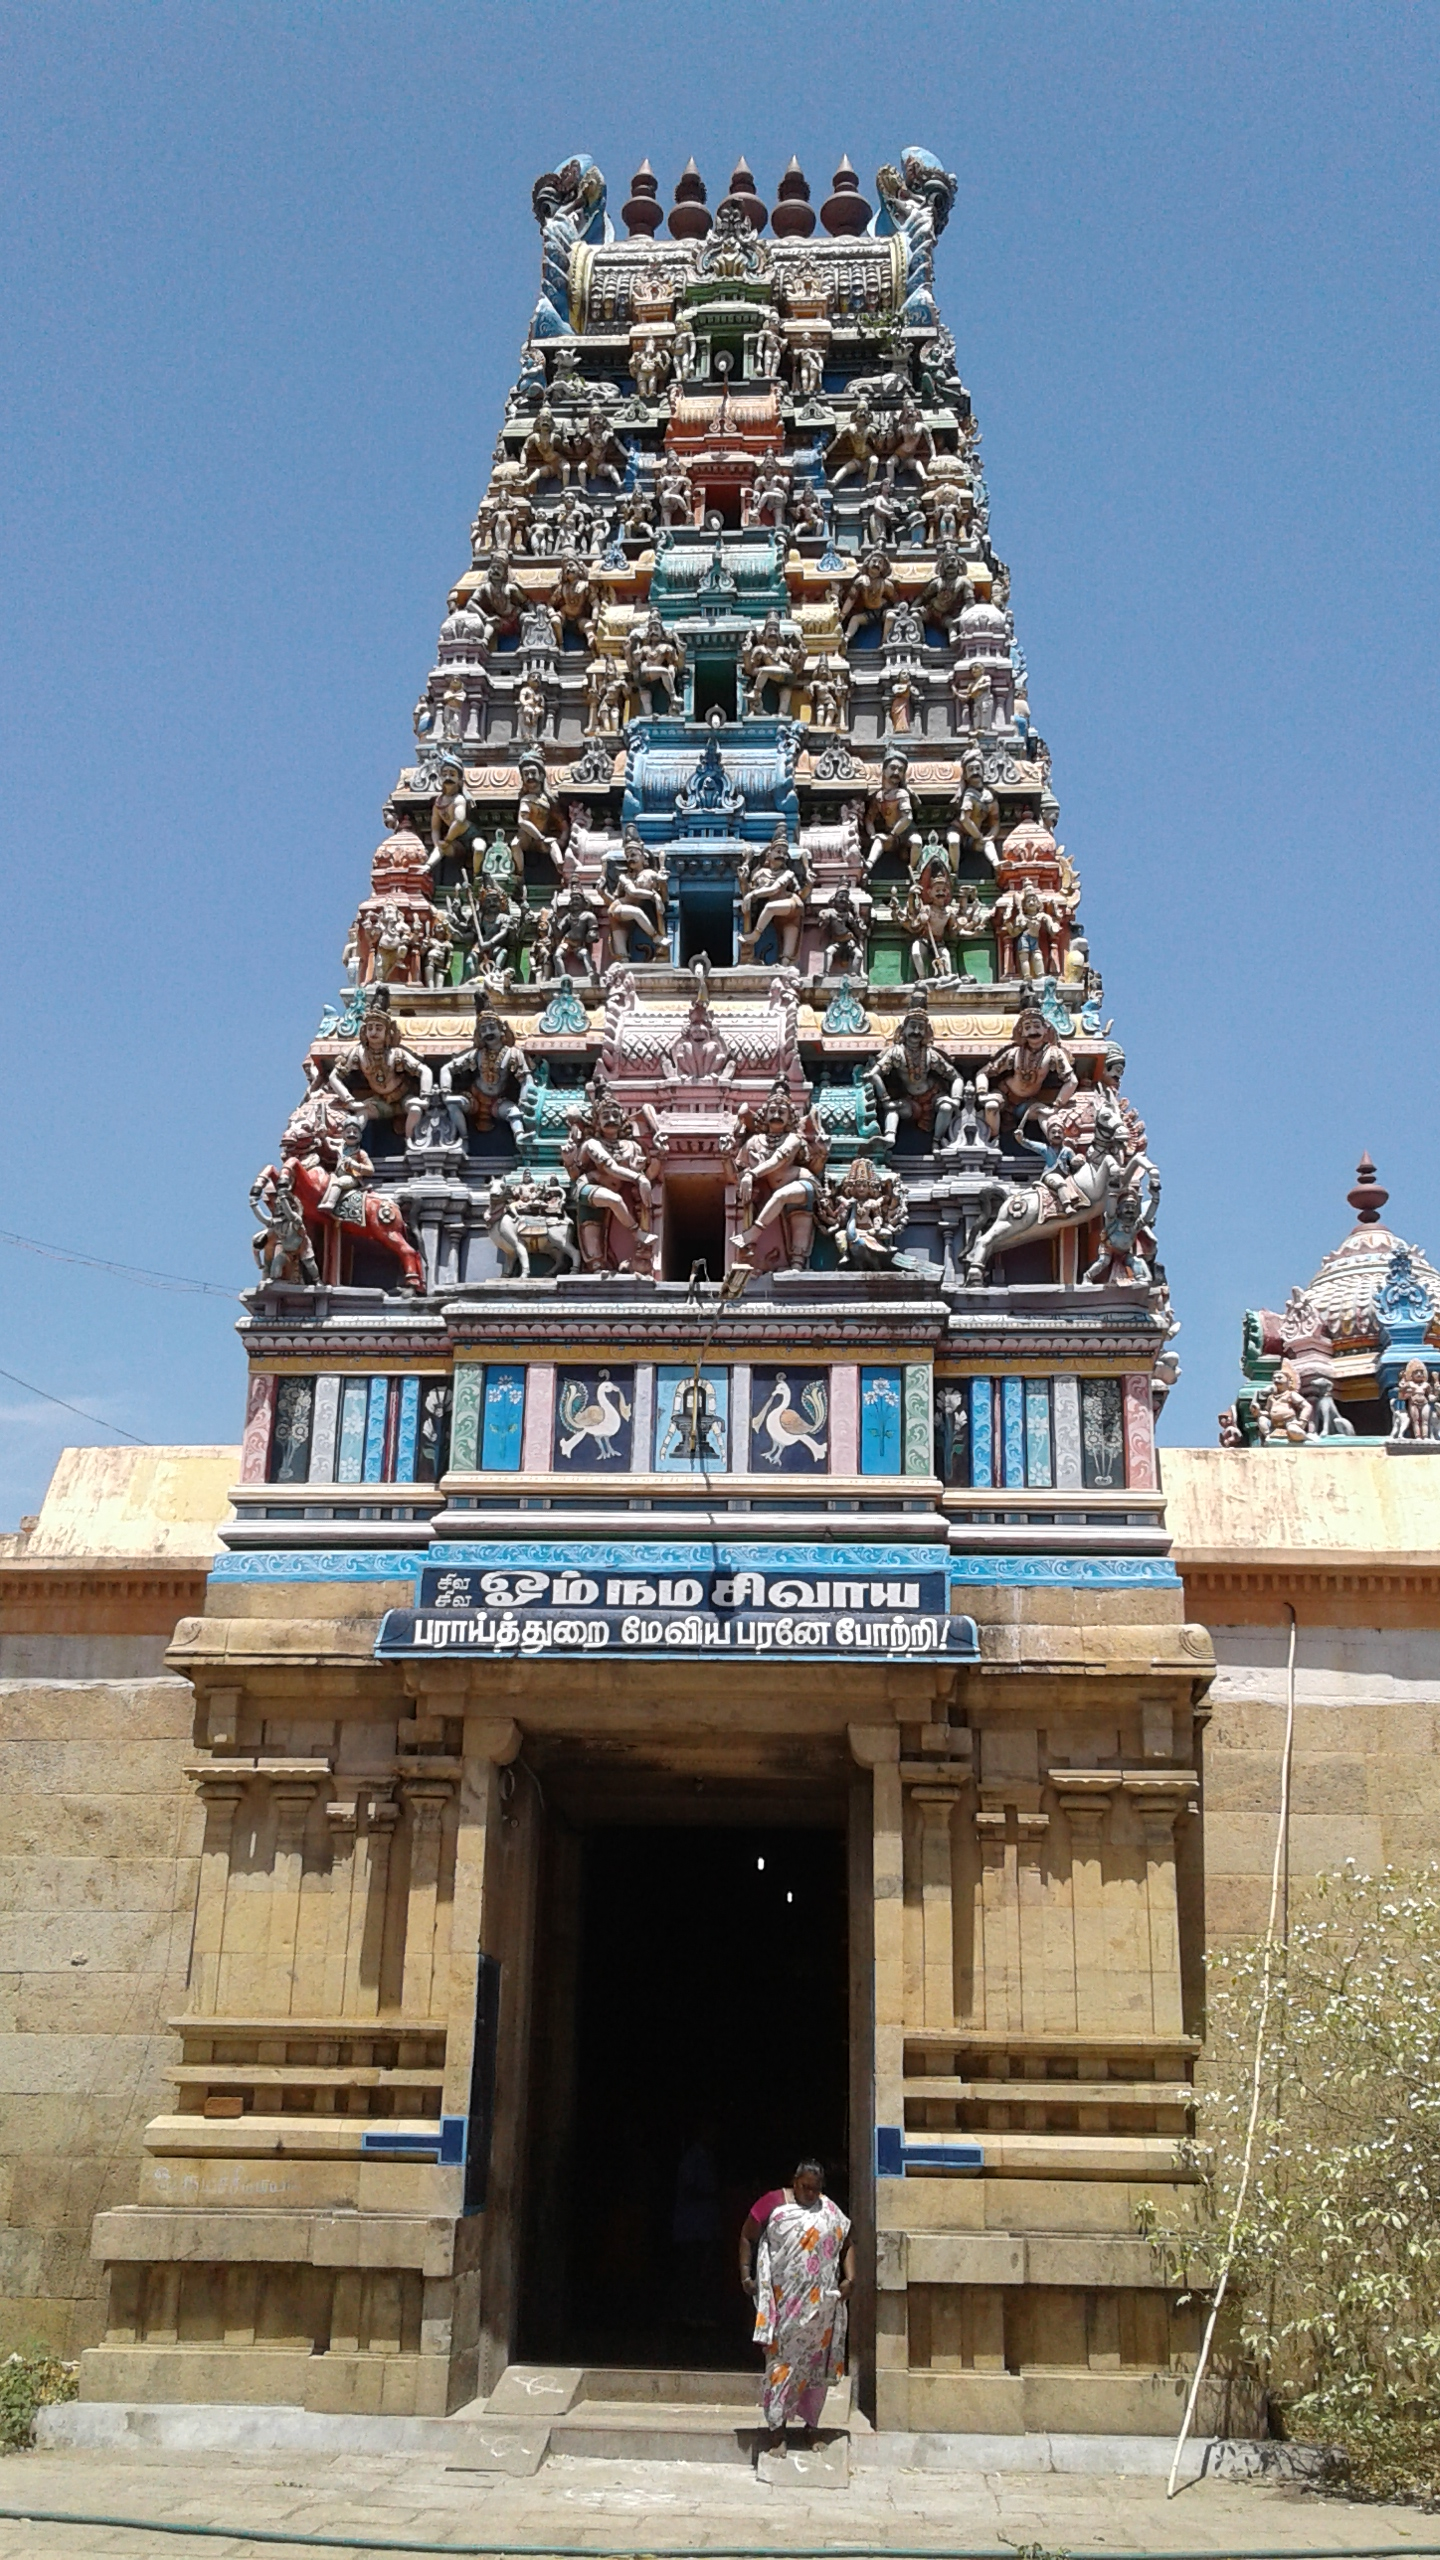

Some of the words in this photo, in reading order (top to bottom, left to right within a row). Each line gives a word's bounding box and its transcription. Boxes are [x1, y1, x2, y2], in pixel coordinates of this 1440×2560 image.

[425, 1586, 476, 1612] சீவ
[432, 1565, 476, 1599] சிவ
[475, 1563, 709, 1610] ஓம்நம
[708, 1563, 922, 1613] சிவாய
[408, 1607, 614, 1659] பராய்த்துறை
[613, 1607, 735, 1650] மேவிய
[733, 1611, 833, 1653] பரனே
[827, 1609, 955, 1661] போற்றி!